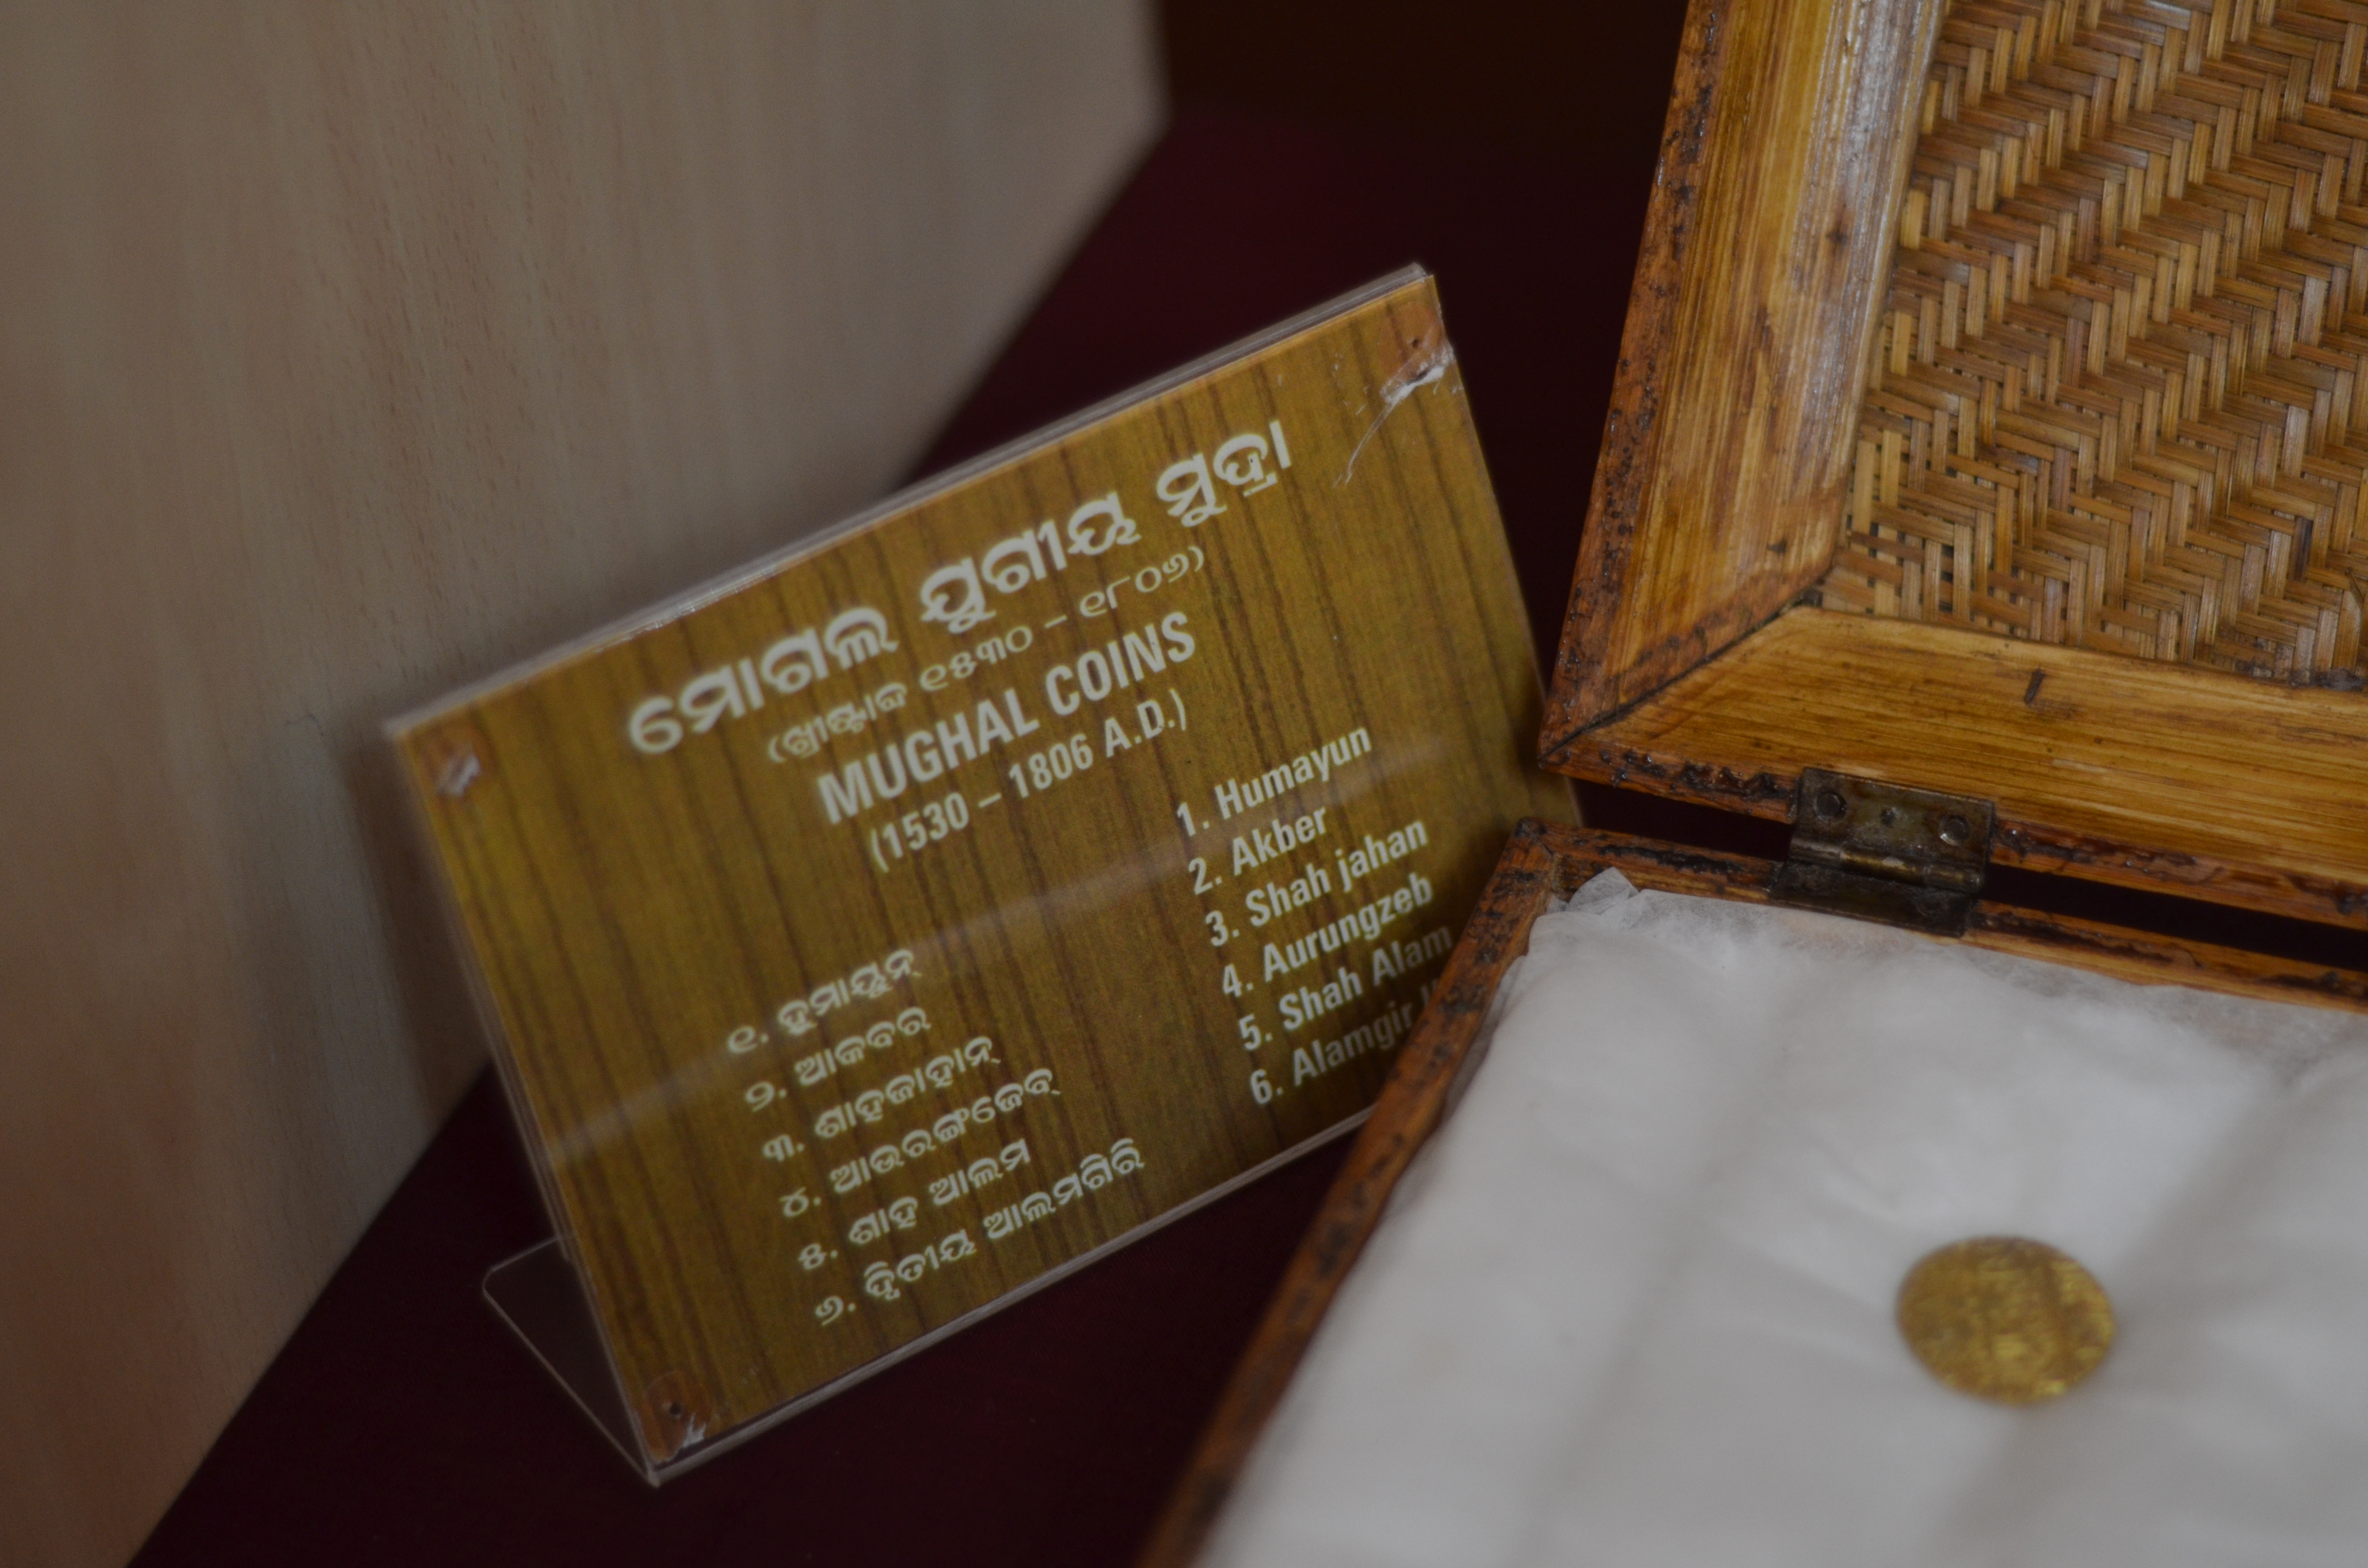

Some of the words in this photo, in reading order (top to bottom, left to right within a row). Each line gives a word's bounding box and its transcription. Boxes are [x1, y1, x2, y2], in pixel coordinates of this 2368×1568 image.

[1148, 416, 1298, 537] ମୁଦ୍ରା
[907, 482, 1150, 642] ଯୁଗୀୟ
[1070, 541, 1201, 626] ୧୮୦୬
[624, 600, 902, 769] ମୋଗଲ
[774, 668, 912, 765] ଖ୍ରୀଷ୍ଟାବ୍ଦ
[810, 680, 1044, 832] MUGHAL
[913, 620, 1034, 699] ୧୫୩୦
[1000, 724, 1099, 808] 1806
[1040, 607, 1196, 718] COINS
[1089, 684, 1190, 767] A.D.)
[1212, 721, 1375, 825] Humayun
[716, 1015, 775, 1066] ୧.
[774, 946, 918, 1040] ହୁମାୟୁନ୍
[789, 1005, 932, 1087] ଆକବର
[863, 788, 973, 871] (1530
[1170, 789, 1213, 848] 1.
[1181, 849, 1226, 902] 2.
[1194, 905, 1244, 952] 3.
[1209, 956, 1261, 1006] 4.
[1227, 1007, 1277, 1053] 5.
[1222, 805, 1330, 883] Akber
[1239, 857, 1338, 929] Shah
[1267, 961, 1368, 1039] Shah
[1262, 861, 1438, 990] Aurungzeb
[1292, 997, 1418, 1096] Alamgir
[1327, 814, 1433, 902] jahan
[1369, 920, 1457, 991] Alam
[732, 1071, 792, 1116] 9.
[758, 1126, 808, 1176] ୩.
[771, 1182, 827, 1227] ୪.
[788, 1235, 841, 1280] 8.
[846, 1187, 924, 1256] ଶାହ
[811, 1029, 1005, 1149] ଶାହଜାହାନ୍
[855, 1223, 982, 1308] ଦ୍ବିତୀୟ
[826, 1063, 1064, 1203] ଆଉରଙ୍ଗଜେବ
[927, 1131, 1036, 1213] ଆଲମ
[976, 1130, 1148, 1250] ଆଲମଗିରି
[1241, 1065, 1288, 1114] 6.
[806, 1289, 861, 1334] ୬.